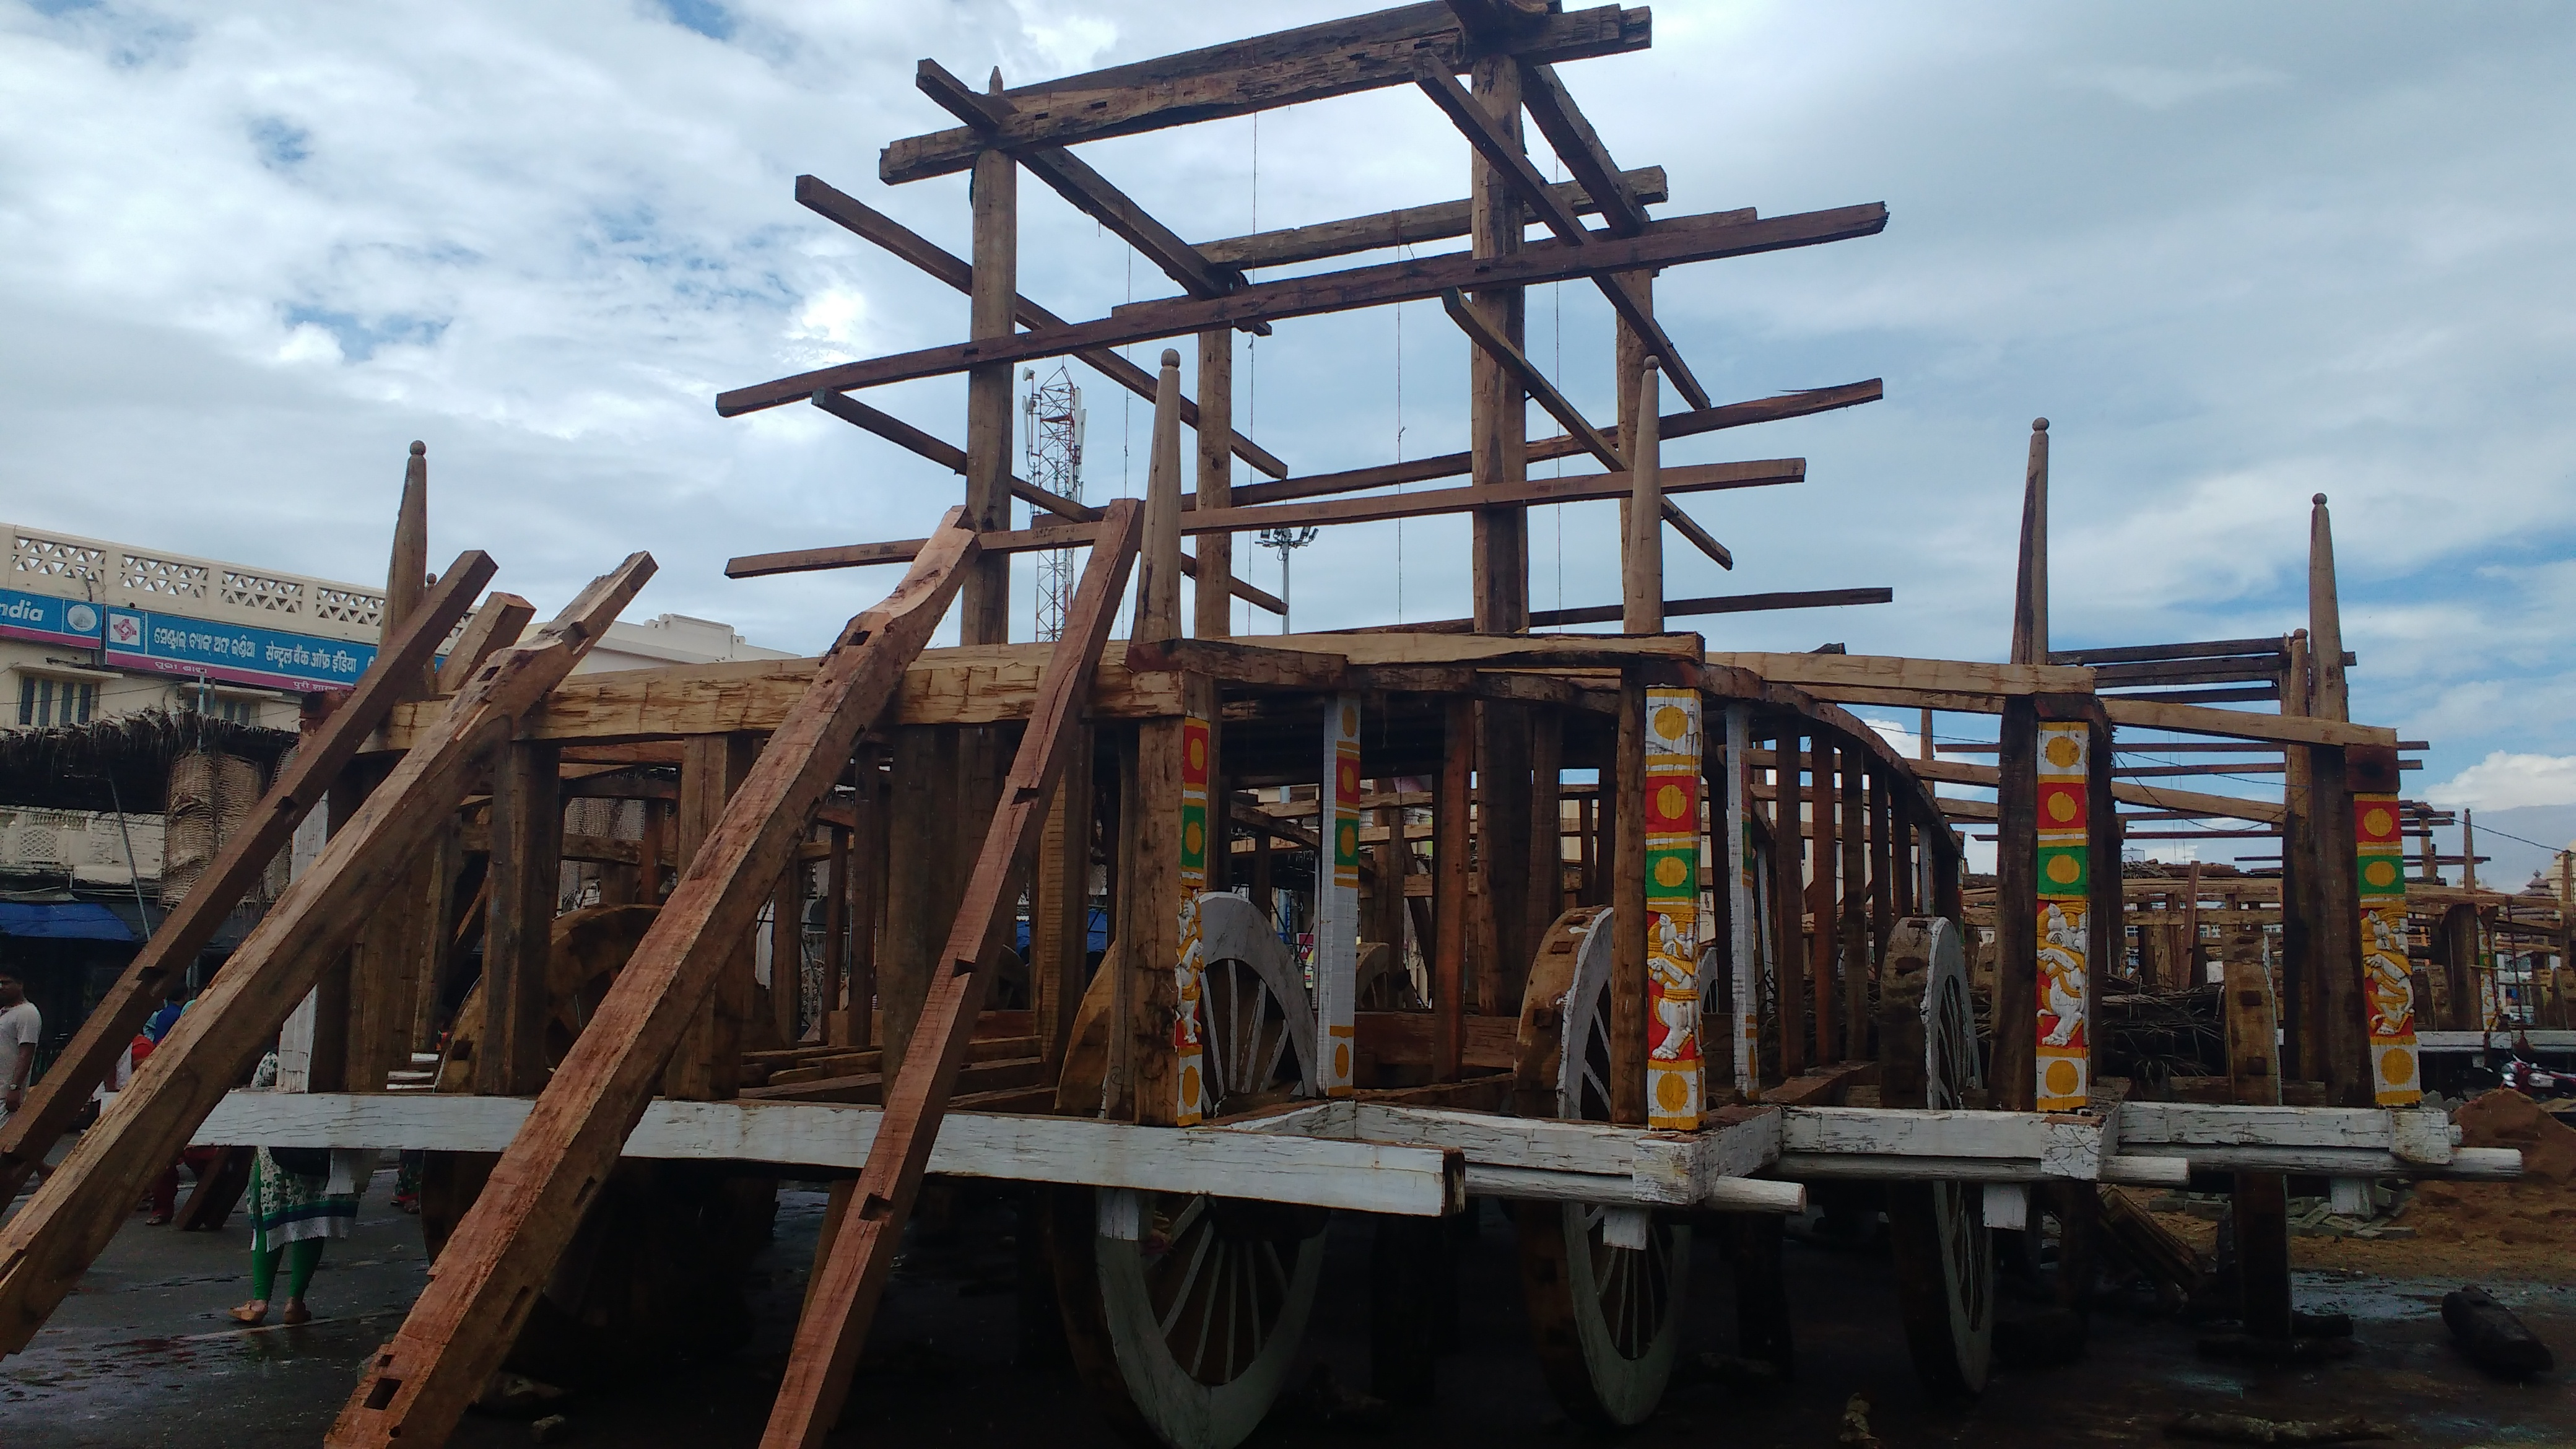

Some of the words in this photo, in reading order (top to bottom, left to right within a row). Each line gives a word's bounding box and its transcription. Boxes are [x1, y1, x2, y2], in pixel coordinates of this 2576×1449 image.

[151, 658, 182, 674] ଯୁଚା
[150, 622, 189, 655] ସେଣ୍ଟ୍ରାଲ୍
[186, 627, 217, 657] ବ୍ୟାଙ୍କ୍
[211, 632, 233, 661] ଅଫ୍
[227, 630, 259, 663] ଇଣ୍ତିଆ
[259, 636, 295, 672] सेन्ट्रल
[289, 636, 315, 667] बैंक
[309, 644, 336, 672] ऑफ़
[329, 644, 359, 678] इंडिया
[290, 675, 313, 695] पुरी